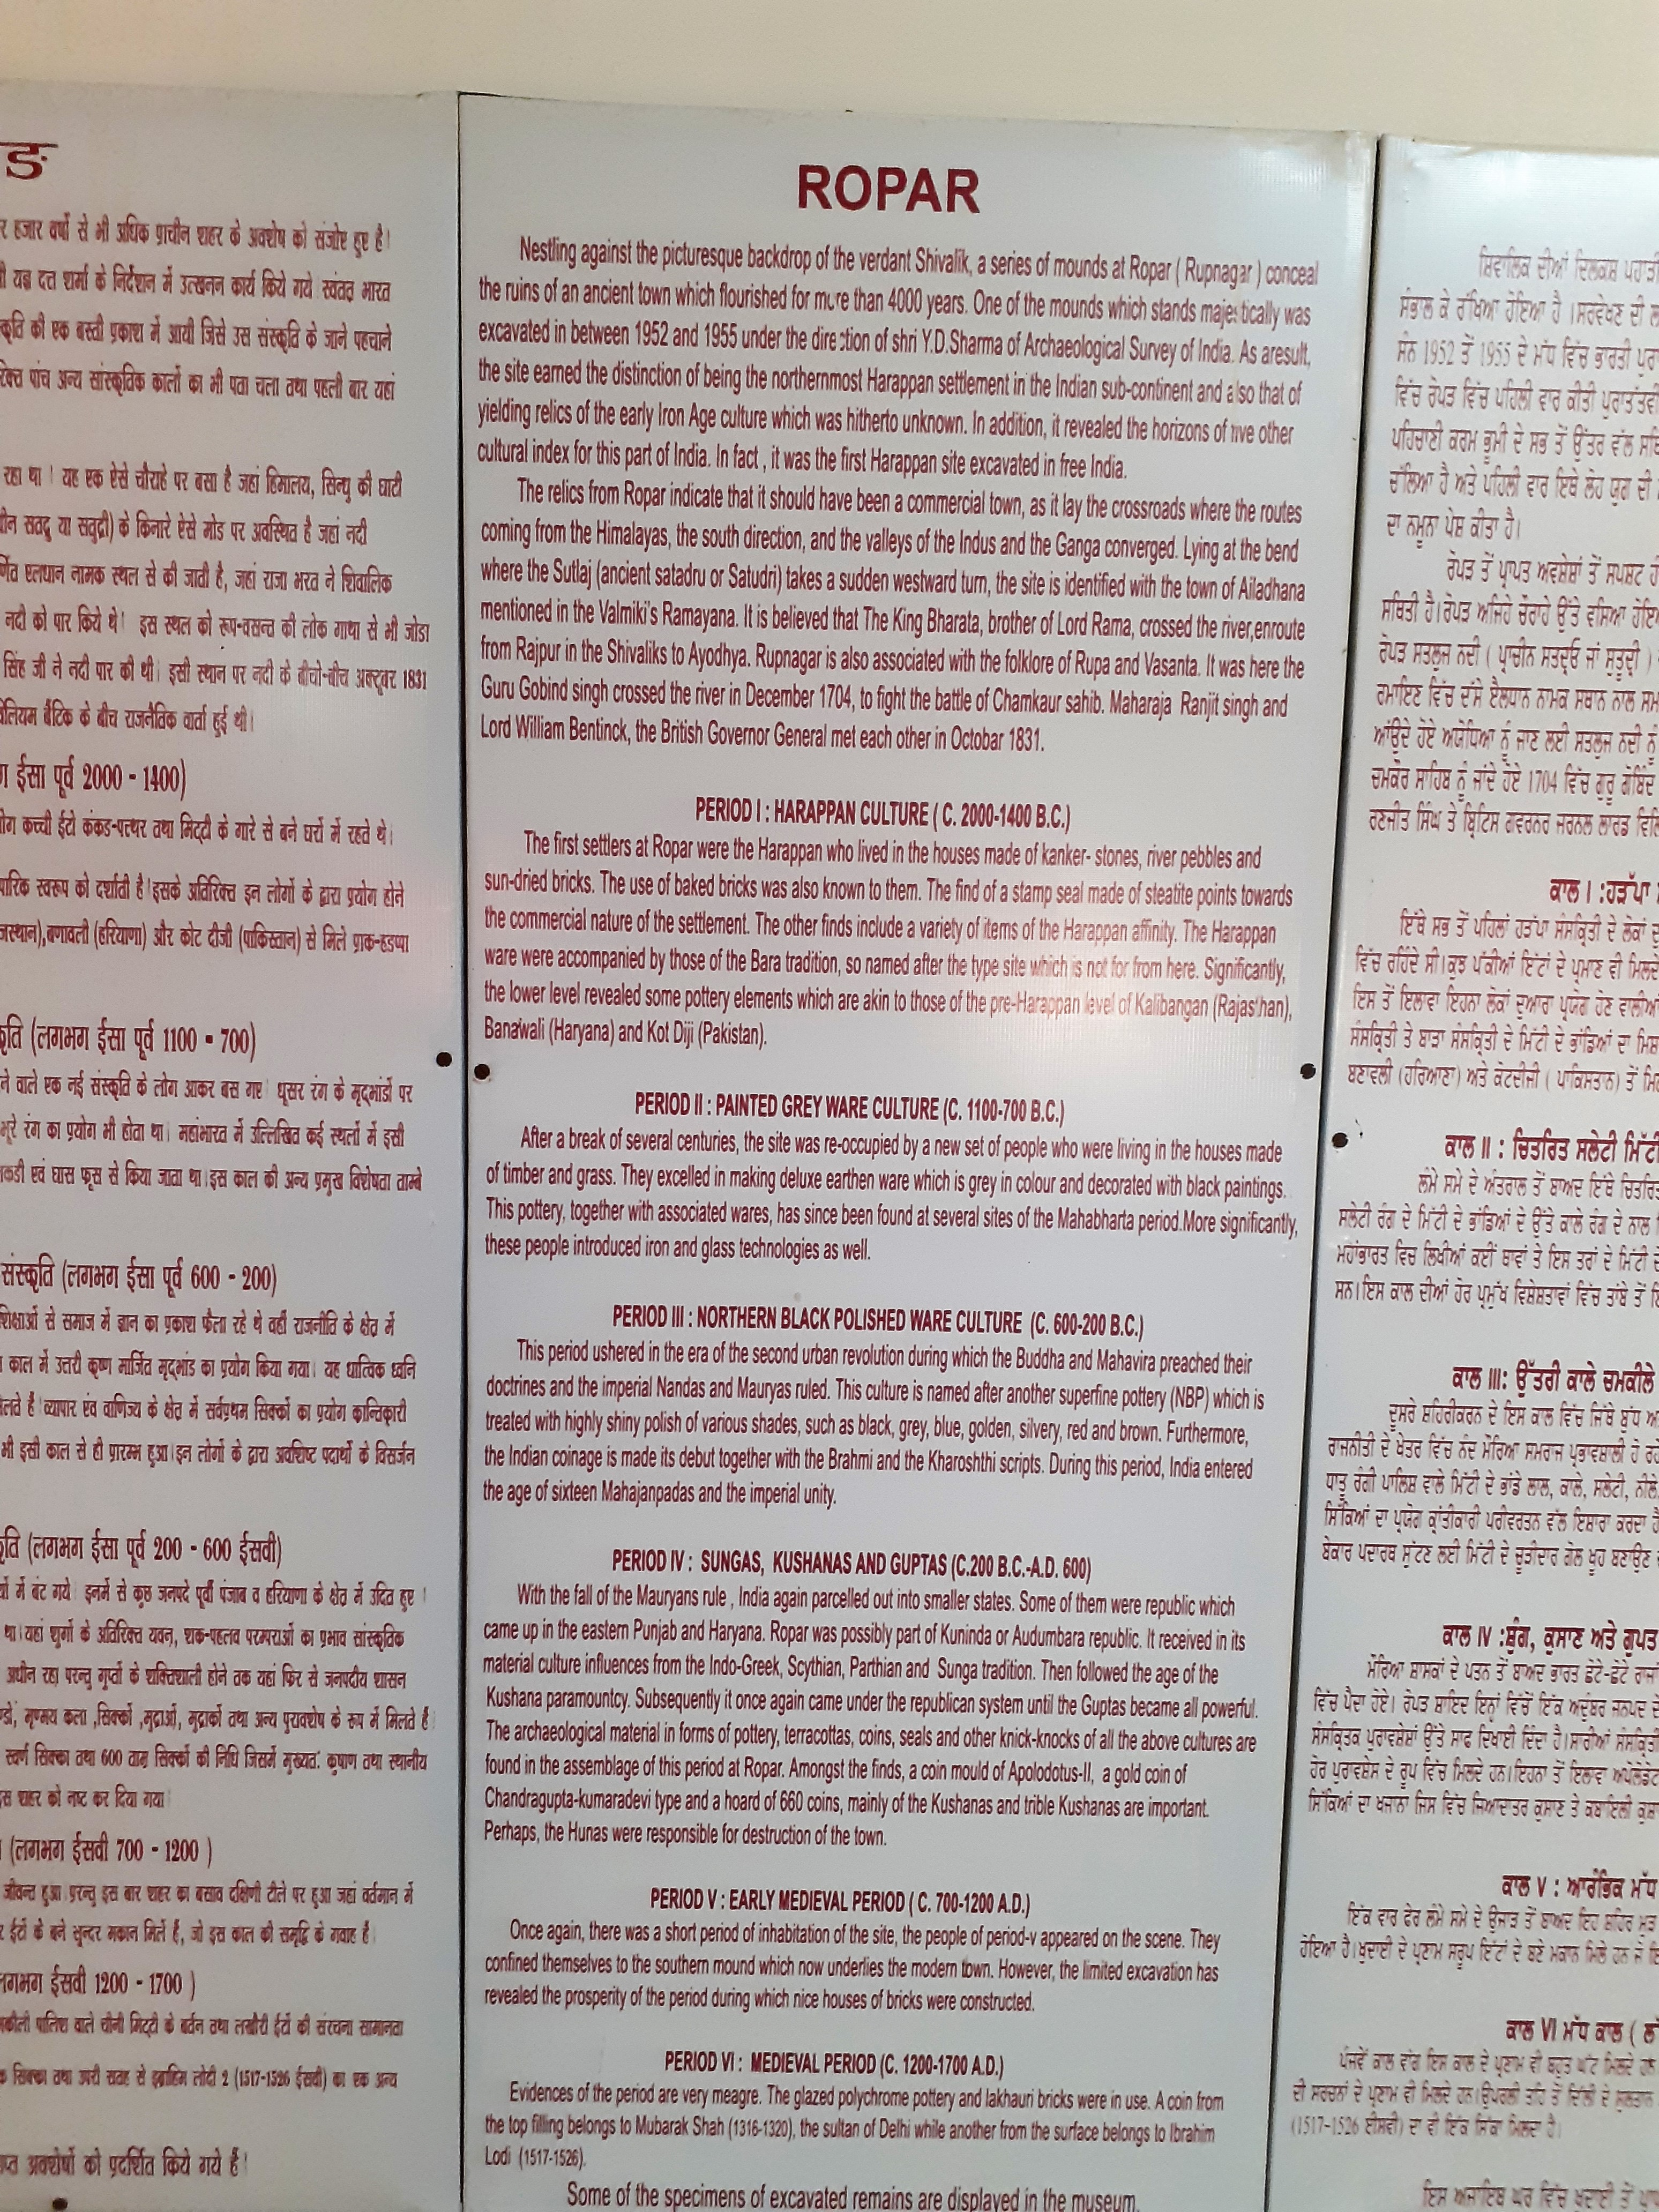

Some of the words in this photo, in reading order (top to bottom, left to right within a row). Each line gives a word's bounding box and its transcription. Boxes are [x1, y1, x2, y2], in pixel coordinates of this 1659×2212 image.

[1029, 1095, 1062, 1127] B.C.
[1344, 1054, 1397, 1089] ਬਣਾਵਲੀ
[1399, 1055, 1459, 1093] ਹਰਿਆਣਾ
[1462, 1057, 1491, 1090] ਅਤੇ
[1490, 1059, 1543, 1093] ਕੇਟਦੀਜੀ
[1552, 1061, 1619, 1094] ਪਾਕਿਸਤਾਨ
[1620, 1062, 1641, 1095] ਤੇਂ
[0, 1112, 19, 1147] भूरे
[21, 1111, 43, 1143] रंग
[43, 1116, 63, 1142] का
[62, 1111, 98, 1146] प्रयोग
[99, 1110, 118, 1145] भी
[119, 1112, 148, 1145] होता
[147, 1118, 167, 1143] था
[176, 1114, 230, 1146] महाभारत
[231, 1114, 247, 1146] में
[249, 1115, 303, 1147] उल्‍लिखित
[304, 1118, 328, 1150] कई
[326, 1118, 364, 1150] स्थलों
[365, 1118, 380, 1149] में
[380, 1119, 408, 1153] इसीं
[516, 1123, 555, 1150] After
[554, 1127, 567, 1152] a
[566, 1124, 608, 1153] break
[606, 1122, 626, 1152] of
[624, 1126, 675, 1154] several
[675, 1129, 739, 1155] centuries,
[741, 1126, 767, 1155] the
[766, 1129, 793, 1155] site
[791, 1133, 822, 1156] was
[821, 1129, 901, 1161] re-occupied
[901, 1131, 919, 1166] by
[919, 1134, 933, 1159] a
[931, 1136, 963, 1157] new
[961, 1135, 988, 1158] set
[985, 1132, 1004, 1161] of
[1002, 1133, 1050, 1164] people
[1050, 1135, 1080, 1162] who
[1079, 1139, 1115, 1162] were
[1114, 1134, 1152, 1168] living
[1152, 1137, 1169, 1163] in
[1168, 1138, 1193, 1162] the
[1191, 1137, 1245, 1164] houses
[1243, 1139, 1287, 1165] made
[1439, 1130, 1478, 1162] ਕਾਲ
[1477, 1130, 1494, 1164] II
[1509, 1126, 1572, 1166] ਚਿਤਰਿਤ
[1571, 1124, 1620, 1167] ਸਲੇਟੀ
[27, 1156, 49, 1188] एवं
[48, 1162, 78, 1190] घास
[77, 1160, 104, 1193] फस
[106, 1156, 123, 1189] से
[122, 1157, 154, 1191] किया
[153, 1163, 185, 1189] जाता
[186, 1163, 205, 1191] था
[207, 1165, 230, 1194] इस
[232, 1166, 259, 1190] काल
[262, 1161, 281, 1192] की
[282, 1167, 313, 1192] अन्य
[311, 1165, 347, 1200] प्रमुख
[347, 1160, 393, 1192] विशेषता
[394, 1161, 426, 1195] ताम्बे
[481, 1158, 502, 1187] of
[499, 1159, 547, 1188] timber
[545, 1160, 574, 1186] and
[573, 1164, 615, 1193] grass
[618, 1159, 655, 1194] They
[655, 1163, 713, 1189] excelled
[711, 1163, 728, 1189] in
[726, 1163, 779, 1197] making
[778, 1163, 825, 1193] deluxe
[824, 1165, 877, 1192] earthen
[875, 1170, 911, 1193] ware
[913, 1165, 952, 1194] which
[952, 1168, 967, 1194] is
[966, 1172, 999, 1199] grey
[998, 1167, 1014, 1194] in
[1012, 1168, 1059, 1195] colour
[1057, 1170, 1086, 1195] and
[1085, 1171, 1156, 1199] decorated
[1153, 1172, 1184, 1199] with
[1183, 1172, 1224, 1201] black
[1221, 1172, 1286, 1206] paintings
[1411, 1163, 1442, 1197] ਲੰਮੇ
[1440, 1162, 1467, 1195] ਸਮੇ
[1464, 1164, 1482, 1198] ਦੇ
[1481, 1165, 1530, 1199] ਅੰਤਰਾਲ
[1528, 1167, 1547, 1198] ਤੋਂ
[1547, 1171, 1586, 1200] ਬਾਅਦ
[1586, 1167, 1618, 1203] ਇਥੇ
[483, 1190, 516, 1222] This
[515, 1198, 564, 1228] pottery
[569, 1196, 626, 1229] together
[625, 1198, 656, 1223] with
[656, 1198, 730, 1224] associated
[729, 1199, 772, 1224] wares,
[775, 1200, 803, 1227] has
[802, 1200, 839, 1229] since
[836, 1200, 875, 1228] been
[875, 1201, 916, 1229] found
[915, 1199, 932, 1228] at
[931, 1202, 982, 1231] several
[979, 1204, 1016, 1234] sites
[1014, 1202, 1033, 1232] of
[1032, 1203, 1055, 1231] the
[1055, 1201, 1137, 1235] Mahabharta
[1135, 1207, 1180, 1239] period
[1182, 1206, 1217, 1234] More
[1217, 1206, 1299, 1245] significantly
[1334, 1197, 1376, 1231] ਸਲੇਟੀ
[1372, 1198, 1400, 1233] ਰੰਗ
[1397, 1198, 1416, 1231] ਦੇ
[1415, 1200, 1451, 1232] ਮਿਂਟੀ
[1449, 1199, 1469, 1232] ਦੇ
[1464, 1201, 1515, 1235] ਭਾਂਡਿਆਂ
[1513, 1202, 1529, 1236] ਦੇ
[1527, 1200, 1558, 1239] ਉੱਤੇ
[1555, 1201, 1588, 1237] ਕਾਲੇ
[1587, 1205, 1611, 1238] ਰੰਗ
[1610, 1204, 1627, 1239] ਦੇ
[1626, 1210, 1654, 1239] ਨਾਲ
[1, 1248, 58, 1296] संस्कृति
[64, 1262, 121, 1290] लगभग
[123, 1251, 159, 1298] ईसा
[161, 1254, 187, 1301] पूर्व
[188, 1260, 223, 1292] 600
[238, 1262, 273, 1294] 200
[481, 1230, 524, 1257] these
[522, 1231, 571, 1265] people
[571, 1229, 644, 1261] introduced
[644, 1232, 671, 1261] iron
[671, 1230, 700, 1262] and
[699, 1233, 737, 1268] glass
[736, 1234, 821, 1267] technologies
[821, 1239, 841, 1260] as
[841, 1235, 870, 1262] well.
[1331, 1275, 1355, 1304] ਸਨ
[1333, 1238, 1392, 1269] ਮਹਾਂਭਾਰਤ
[1360, 1271, 1388, 1305] ਇਸ
[1388, 1276, 1417, 1306] ਕਾਲ
[1393, 1235, 1421, 1269] ਵਿਚ
[1415, 1272, 1452, 1306] ਦੀਆਂ
[1421, 1234, 1470, 1269] ਲਿਖੀਆਂ
[1449, 1273, 1475, 1305] ਹੋਰ
[1468, 1237, 1500, 1271] ਕਈਂ
[1474, 1276, 1512, 1317] ਪ੍ਰਮੁੱਖ
[1498, 1236, 1531, 1272] ਥਾਵਾਂ
[1529, 1239, 1546, 1273] ਤੇ
[1508, 1274, 1575, 1308] ਵਿਸ਼ੇਸ਼ਤਾਵਾਂ
[1544, 1238, 1575, 1274] ਇਸ
[1573, 1243, 1602, 1273] ਤਰਾਂ
[1572, 1275, 1604, 1310] ਵਿੱਚ
[1598, 1240, 1617, 1276] ਦੇ
[1603, 1275, 1633, 1309] ਤਾਂਬੇ
[1615, 1242, 1651, 1275] ਮਿंਟੀ
[1631, 1279, 1649, 1309] ਤੇਂ
[0, 1298, 42, 1335] शिक्षाओँ
[42, 1301, 61, 1335] से
[58, 1307, 99, 1337] समाज
[96, 1303, 114, 1335] में
[114, 1309, 142, 1338] ज्ञान
[142, 1310, 162, 1336] का
[161, 1312, 199, 1339] प्रकाश
[199, 1304, 232, 1337] फैला
[229, 1304, 251, 1340] रहे
[249, 1306, 267, 1340] थ़े
[266, 1304, 292, 1340] वहीं
[291, 1303, 340, 1342] राजनीति
[340, 1307, 357, 1337] के
[357, 1307, 382, 1339] क्षेत
[382, 1306, 398, 1338] में
[611, 1300, 669, 1329] PERIOD
[670, 1302, 686, 1329] III
[696, 1302, 779, 1332] NORTHERN
[780, 1303, 833, 1333] BLACK
[833, 1304, 908, 1334] POLISHED
[907, 1305, 955, 1333] WARE
[954, 1307, 1026, 1337] CULTURE
[1033, 1309, 1051, 1340] C.
[1052, 1308, 1079, 1337] 600
[1080, 1309, 1107, 1338] 200
[1107, 1310, 1142, 1340] B.C.
[7, 1352, 36, 1376] काल
[16, 1432, 42, 1464] इसी
[25, 1388, 39, 1419] है॑
[34, 1345, 53, 1379] में
[42, 1433, 73, 1464] काल
[39, 1393, 79, 1422] व्यापार
[53, 1342, 86, 1379] उत्तरी
[71, 1432, 89, 1464] से
[79, 1389, 100, 1421] एंव
[88, 1432, 107, 1466] हो
[84, 1350, 115, 1380] कृष्ण
[100, 1387, 144, 1425] वाणिज्य
[107, 1439, 144, 1467] प्रारम्भ
[113, 1346, 156, 1382] मार्जित
[143, 1392, 161, 1423] के
[143, 1439, 171, 1471] हुआ
[160, 1391, 186, 1424] क्षेत
[156, 1347, 199, 1386] मृद्‌भांड
[173, 1440, 196, 1467] इन
[183, 1391, 201, 1422] में
[199, 1355, 218, 1382] का
[195, 1433, 228, 1468] लोगों
[201, 1389, 252, 1426] सर्वप्रथम
[227, 1434, 244, 1469] क‍े
[219, 1347, 254, 1382] प्रयोग
[245, 1439, 272, 1469] द्वारा
[255, 1347, 285, 1385] किया
[251, 1388, 295, 1427] सिक्कों
[274, 1434, 321, 1470] अवशिष्ट
[284, 1352, 313, 1382] गया
[295, 1399, 315, 1425] का
[319, 1356, 343, 1383] यह
[315, 1394, 350, 1425] प्रयोग
[318, 1435, 355, 1471] पदार्थो
[356, 1437, 373, 1469] क‍े
[343, 1349, 388, 1386] धात्विक
[350, 1391, 411, 1431] क्रांतिकारी
[372, 1435, 420, 1470] विसर्जन
[390, 1351, 422, 1386] ध्वनि
[479, 1476, 506, 1503] the
[481, 1442, 507, 1469] the
[483, 1409, 533, 1433] treated
[484, 1372, 548, 1398] doctrines
[504, 1481, 534, 1509] age
[506, 1441, 550, 1469] Indian
[515, 1333, 547, 1364] This
[532, 1475, 551, 1505] of
[533, 1407, 564, 1433] with
[547, 1373, 577, 1399] and
[545, 1335, 591, 1369] period
[550, 1475, 598, 1505] sixteen
[550, 1443, 603, 1475] coinage
[563, 1406, 604, 1440] highly
[576, 1373, 600, 1399] the
[603, 1442, 619, 1472] is
[591, 1337, 646, 1364] ushered
[604, 1407, 642, 1441] shiny
[600, 1371, 654, 1403] imperial
[619, 1443, 659, 1469] made
[599, 1478, 697, 1512] Mahajanpadas
[647, 1339, 662, 1364] in
[641, 1407, 683, 1440] polish
[659, 1441, 678, 1470] its
[662, 1337, 686, 1365] the
[653, 1371, 708, 1400] Nandas
[682, 1408, 700, 1437] of
[685, 1342, 711, 1366] era
[678, 1443, 718, 1471] debut
[696, 1477, 725, 1507] and
[709, 1338, 729, 1365] of
[706, 1374, 735, 1399] and
[699, 1409, 750, 1436] various
[723, 1477, 749, 1507] the
[727, 1339, 752, 1364] the
[718, 1443, 773, 1475] together
[734, 1374, 794, 1407] Mauryas
[748, 1410, 801, 1438] shades
[750, 1340, 801, 1367] second
[748, 1478, 803, 1512] imperial
[772, 1444, 804, 1472] with
[793, 1377, 829, 1402] ruled.
[801, 1446, 827, 1472] the
[801, 1480, 838, 1513] unity.
[803, 1411, 838, 1438] such
[801, 1340, 841, 1370] urban
[838, 1415, 856, 1438] as
[834, 1373, 865, 1403] This
[826, 1445, 875, 1475] Brahmi
[840, 1341, 907, 1367] revolution
[856, 1411, 894, 1439] black,
[863, 1376, 910, 1402] culture
[874, 1447, 903, 1473] and
[898, 1414, 930, 1444] grey,
[902, 1447, 926, 1475] the
[909, 1376, 925, 1402] is
[906, 1343, 951, 1377] during
[931, 1412, 962, 1441] blue
[924, 1378, 972, 1405] named
[926, 1448, 998, 1475] Kharoshthi
[948, 1343, 991, 1370] which
[966, 1413, 1011, 1446] golden
[972, 1378, 1006, 1407] after
[990, 1342, 1013, 1371] the
[996, 1449, 1044, 1481] scripts
[1004, 1380, 1058, 1408] another
[1016, 1415, 1063, 1449] silvery
[1014, 1344, 1068, 1372] Buddha
[1045, 1448, 1094, 1483] During
[1065, 1417, 1091, 1442] red
[1066, 1343, 1095, 1373] and
[1056, 1382, 1120, 1412] superfine
[1091, 1416, 1118, 1442] and
[1092, 1450, 1119, 1481] this
[1094, 1344, 1159, 1376] Mahavira
[1117, 1416, 1162, 1443] brown.
[1118, 1452, 1164, 1484] period.
[1120, 1385, 1174, 1414] pottery
[1168, 1452, 1203, 1481] India
[1171, 1383, 1208, 1414] NBP
[1158, 1347, 1223, 1379] preached
[1164, 1419, 1248, 1446] Furthermore,
[1202, 1453, 1260, 1484] entered
[1210, 1385, 1253, 1413] which
[1220, 1347, 1258, 1377] their
[1252, 1384, 1268, 1413] is
[1323, 1468, 1351, 1501] ਧਾਤੂ
[1327, 1429, 1377, 1461] ਰਾਜਨੀਤੀ
[1351, 1464, 1380, 1496] ਰੰਗੀ
[1379, 1428, 1392, 1461] ਦੇ
[1377, 1465, 1419, 1496] ਪਾਲਿਸ਼
[1386, 1394, 1419, 1434] ਦੂਸਰੇ
[1393, 1430, 1427, 1461] ਖੇਤਰ
[1418, 1463, 1448, 1496] ਵਾਲੇ
[1425, 1429, 1455, 1461] ਵਿੱਚ
[1418, 1395, 1485, 1426] ਸ਼ਹਿਰੀਕਰਨ
[1446, 1462, 1483, 1497] ਮਿਂਟੀ
[1447, 1361, 1486, 1392] ਕਾਲ
[1457, 1431, 1481, 1461] ਨੰਦ
[1482, 1466, 1498, 1498] ਦੇ
[1483, 1394, 1501, 1429] ਦੇ
[1485, 1362, 1505, 1392] III
[1479, 1429, 1522, 1463] ਮੌਰਿਆ
[1497, 1463, 1525, 1501] ਭਾਂਡे
[1501, 1396, 1529, 1428] ਇਸ
[1522, 1473, 1554, 1500] ਲਾਲ
[1513, 1355, 1566, 1400] ਉੱਤਰੀ
[1528, 1403, 1557, 1429] ਕਾਲ
[1521, 1437, 1567, 1464] ਸਮਰਾਜ
[1553, 1470, 1586, 1502] ਕਾਲੇ
[1556, 1398, 1588, 1433] ਵਿੱਚ
[1564, 1355, 1600, 1395] ਕਾਲੇ
[1567, 1436, 1628, 1470] ਪ੍ਰਭਾਵਸ਼ਾਲੀ
[1587, 1396, 1618, 1434] ਜਿੱਥੇ
[1587, 1468, 1631, 1504] ਸਲੇਟੀ
[1601, 1358, 1657, 1399] ਚਮਕੀਲੇ
[1616, 1404, 1645, 1436] ਬੁਧ
[1628, 1435, 1643, 1466] ਹੋ
[1632, 1469, 1658, 1502] ਨੀਲੇ
[1316, 1498, 1373, 1530] ਸਿੱਕਿਆਂ
[1373, 1505, 1391, 1530] ਦਾ
[1391, 1501, 1425, 1537] ਪ੍ਰਯੋਗ
[1425, 1500, 1485, 1537] ਕਾਂਤੀਕਾਰੀ
[1482, 1501, 1544, 1536] ਪਰੀਵਰਤਨ
[1544, 1503, 1571, 1535] ਵੱਲ
[1571, 1504, 1615, 1536] ਇਸ਼ਾਰਾ
[1613, 1511, 1651, 1537] ਕਰਦਾ
[28, 1531, 87, 1566] लगभग
[86, 1524, 122, 1569] ईसा